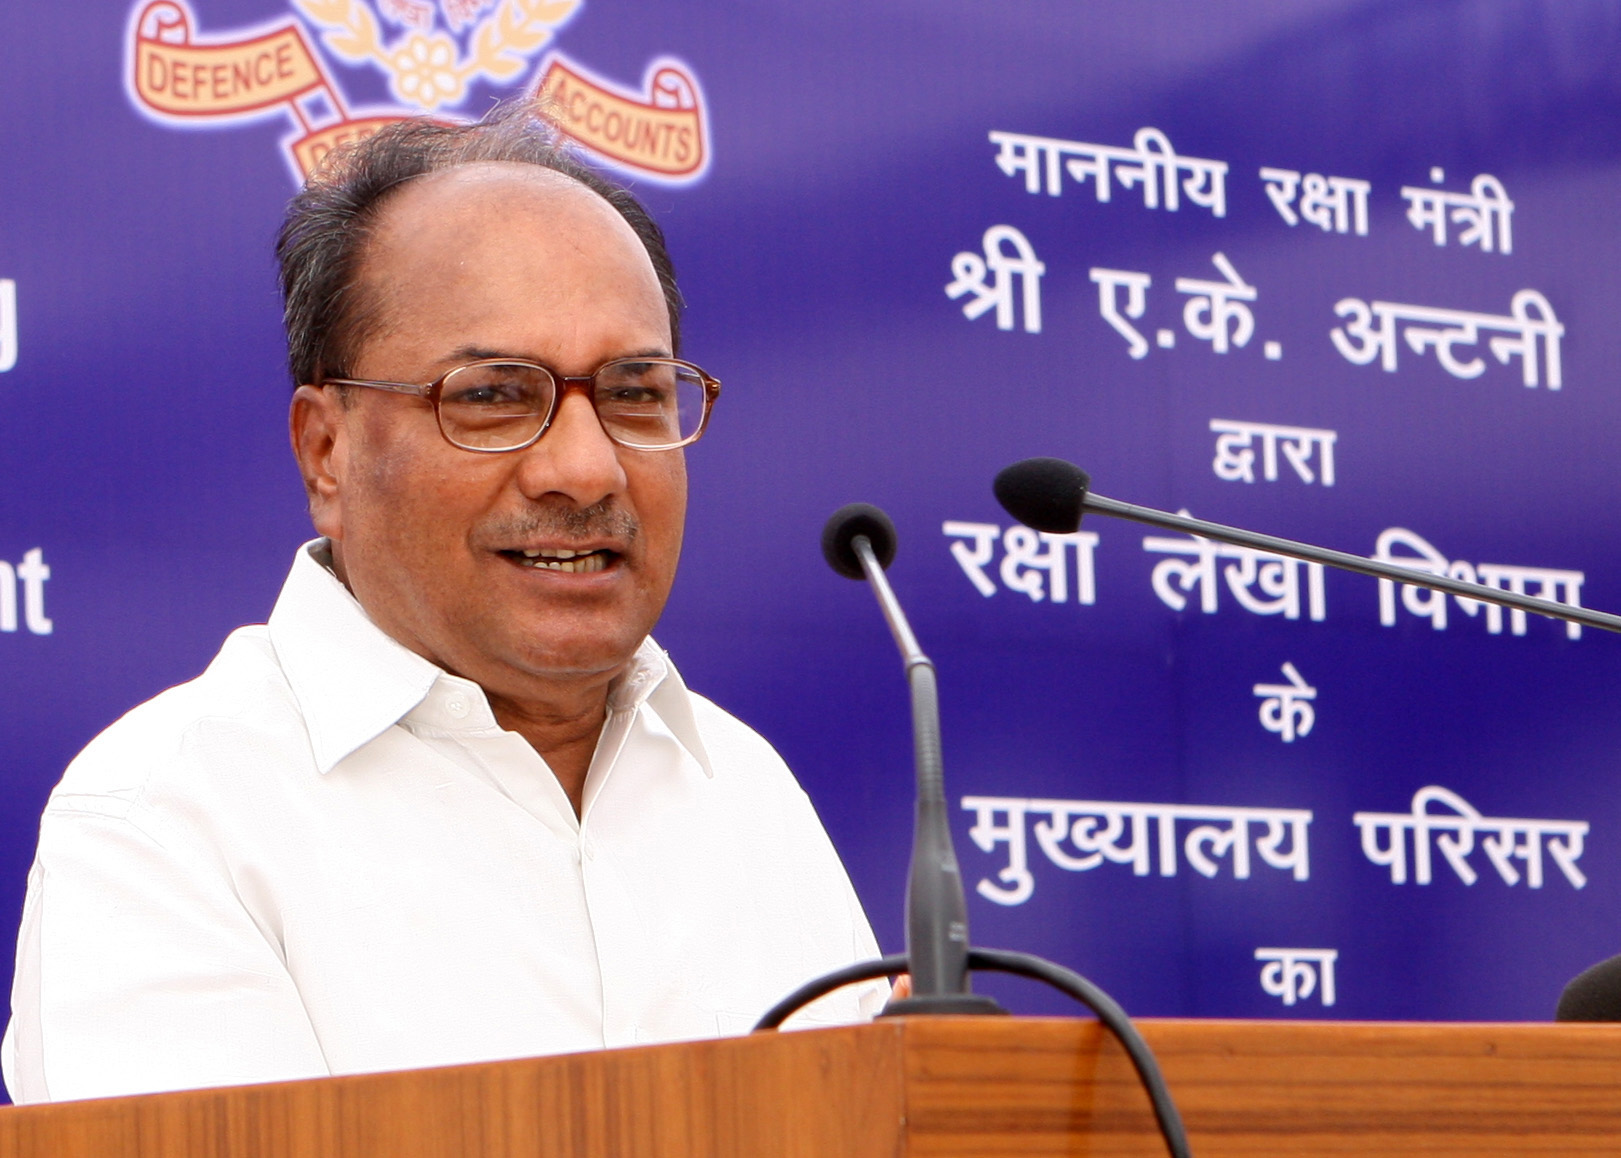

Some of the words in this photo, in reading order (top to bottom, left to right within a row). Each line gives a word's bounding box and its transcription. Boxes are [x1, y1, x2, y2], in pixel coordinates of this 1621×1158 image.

[140, 36, 295, 112] ०३३५९८६
[540, 68, 701, 170] ACCOUNTS
[983, 118, 1237, 228] माननीय
[1255, 161, 1375, 238] रक्षा
[1396, 152, 1521, 263] मंत्री
[933, 206, 1064, 346] श्री
[1087, 246, 1290, 371] ए॰के॰
[1324, 280, 1569, 392] अन्टनी
[1206, 413, 1342, 493] द्वारा
[941, 514, 1104, 609] रक्षा
[1136, 498, 1335, 624] लेखा
[1364, 516, 1587, 646] विभाग
[1251, 654, 1322, 751] के
[958, 787, 1317, 914] मुख्यालय
[1346, 777, 1598, 897] परिसर
[1242, 941, 1349, 1016] का